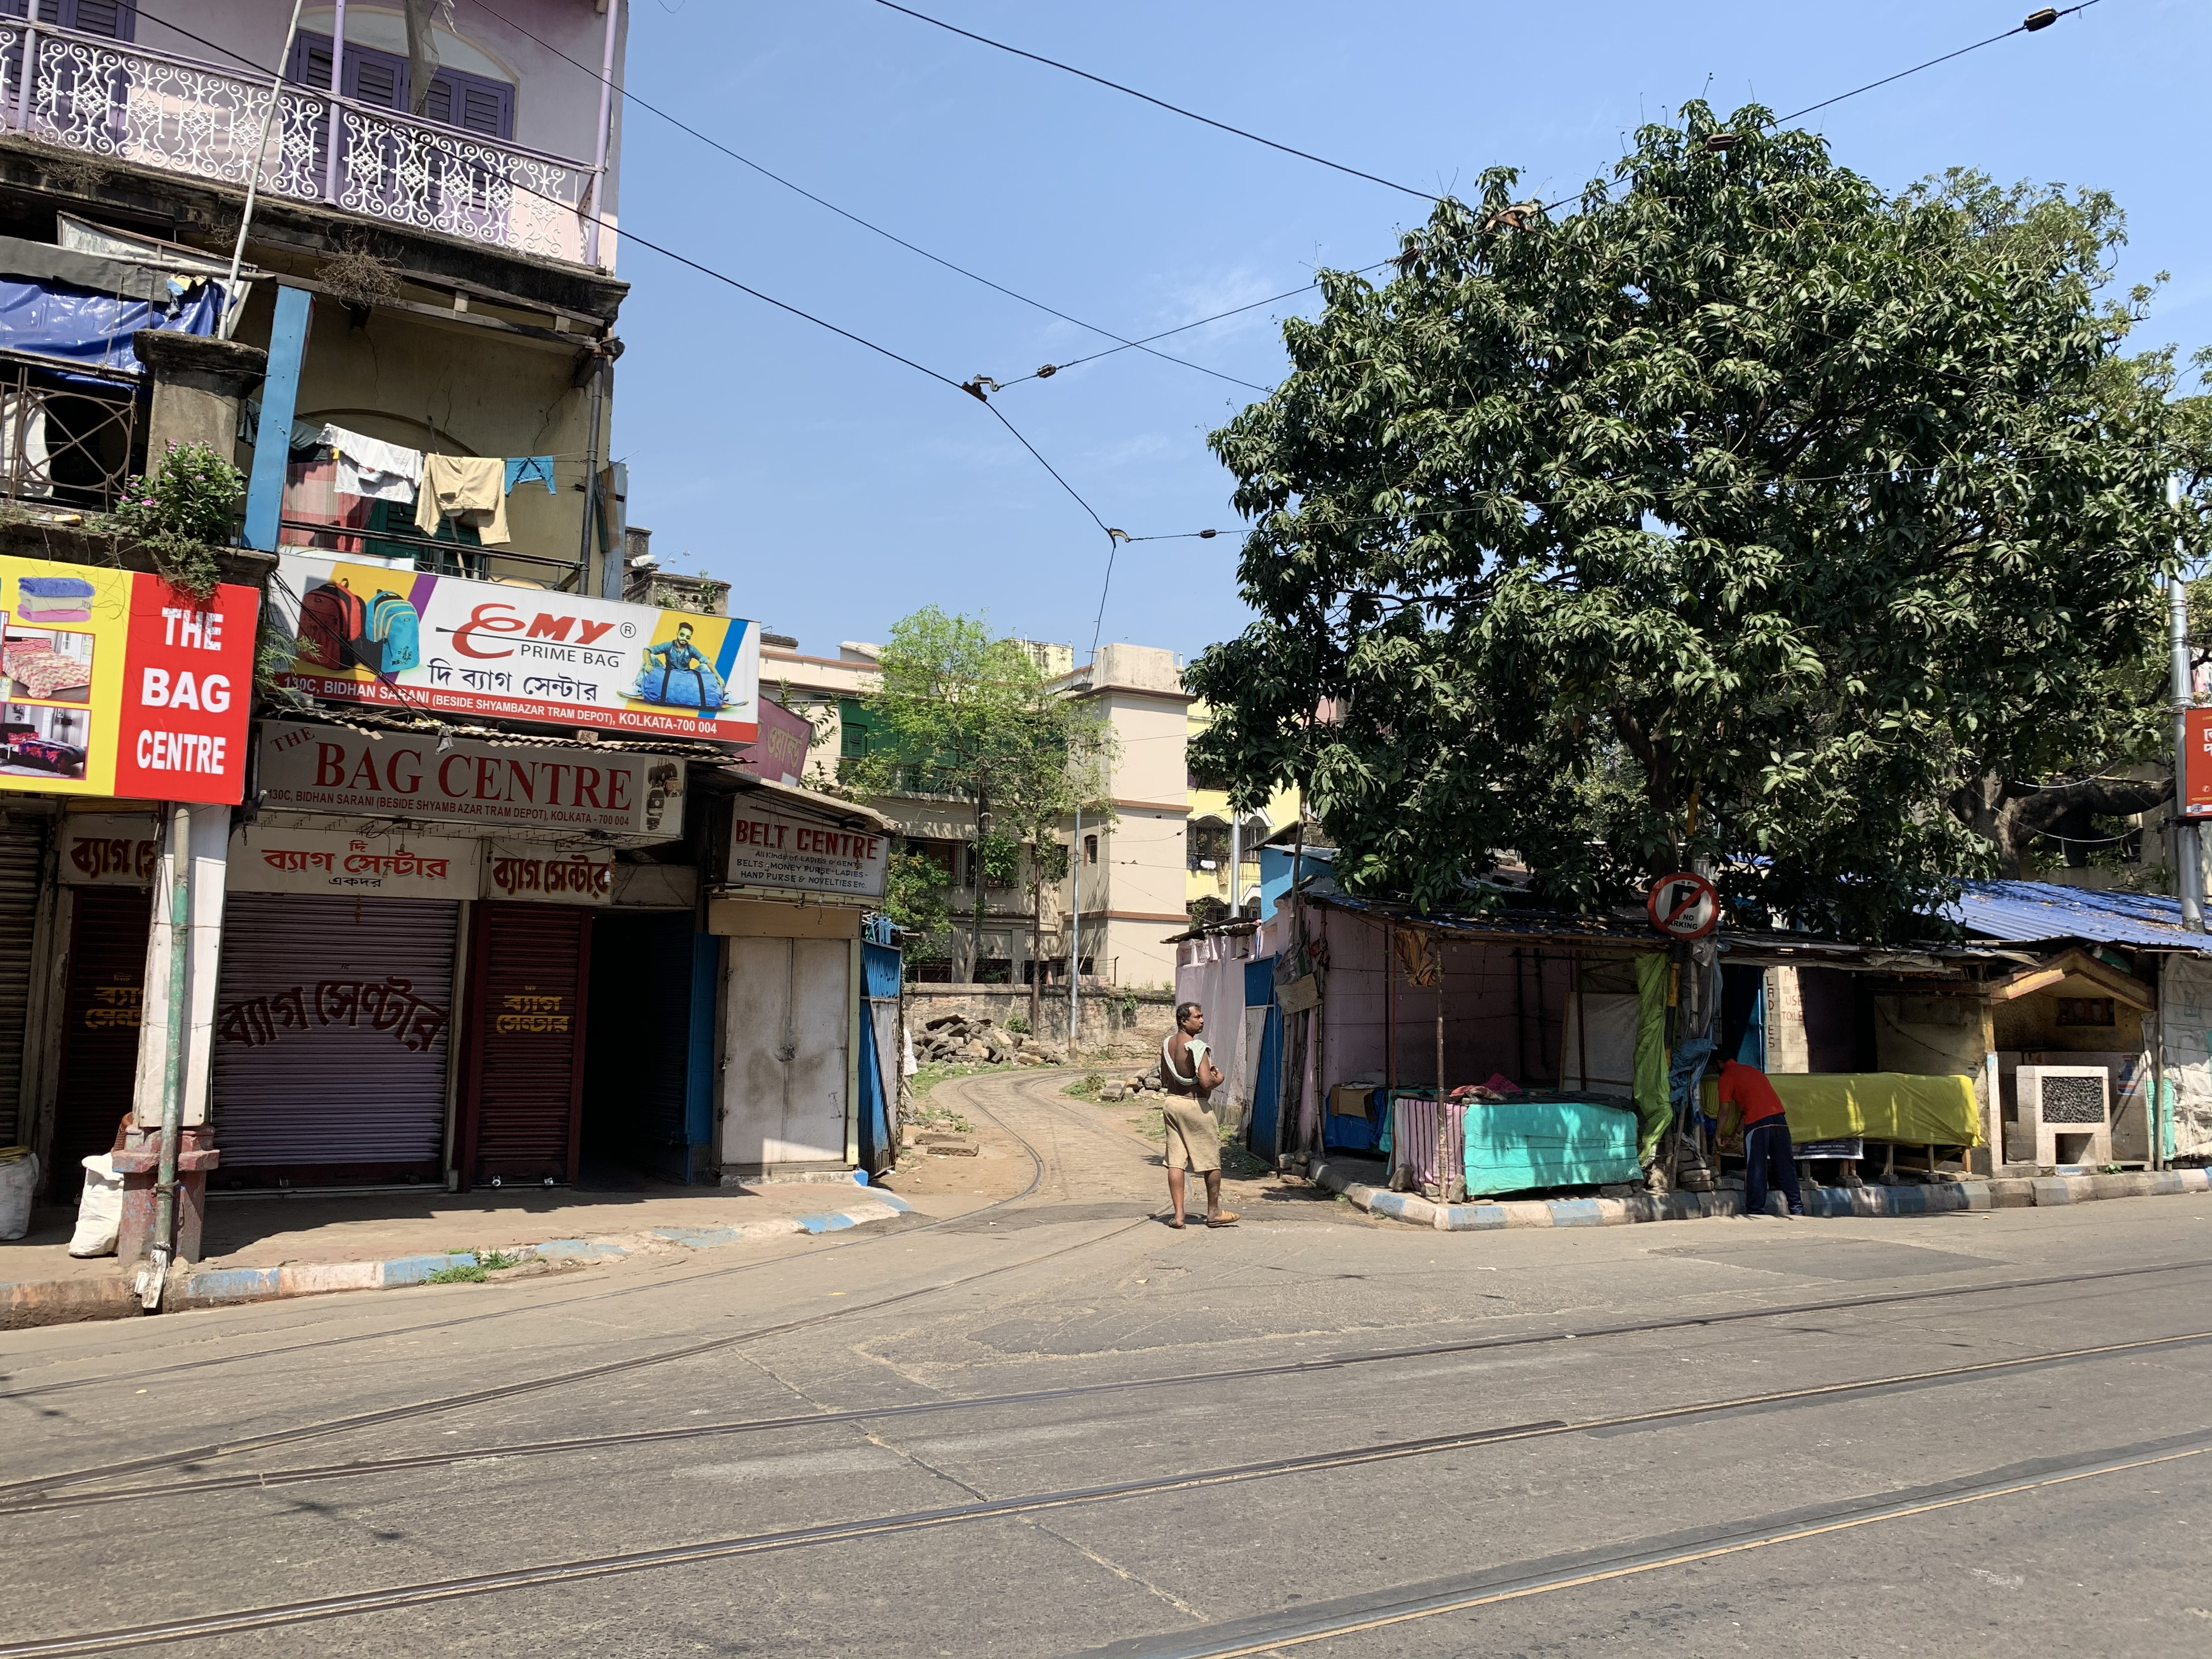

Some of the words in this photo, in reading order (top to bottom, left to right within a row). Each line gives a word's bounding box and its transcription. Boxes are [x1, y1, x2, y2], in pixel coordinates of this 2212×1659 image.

[154, 597, 228, 656] THE
[448, 595, 625, 672] EMY
[134, 658, 236, 717] BAG
[319, 676, 380, 705] BIDHAN
[375, 682, 431, 706] SARANI
[429, 690, 476, 714] (BESIDE
[419, 648, 515, 698] দিব্যগ
[472, 693, 549, 723] SHYAMBAZAR
[520, 641, 582, 673] PRIME
[543, 701, 580, 726] TRAM
[521, 672, 604, 711] সেন্টার
[572, 703, 615, 731] DEPOT)
[579, 648, 623, 676] BAG
[617, 711, 675, 732] KOLKATA-
[672, 712, 720, 737] -700004
[129, 721, 232, 780] CENTRE
[273, 724, 319, 759] THE
[758, 723, 811, 775] ওয়াল্ড
[304, 735, 433, 799] BAG
[433, 746, 636, 817] CENTRE
[64, 825, 138, 880] ব্যাগ
[273, 844, 337, 880] ব্যাগ
[327, 866, 384, 895] একদর
[337, 840, 457, 884] সেন্টার
[486, 847, 617, 905] ব্যাগ সেন্টার
[733, 850, 765, 872] BELTS
[737, 866, 768, 882] HAND
[726, 813, 793, 851] BELT
[751, 847, 790, 864] All Kinds
[764, 868, 799, 885] PURSE
[766, 855, 805, 874] MONEY
[781, 850, 804, 866] sofL
[795, 851, 829, 870] LADIES
[799, 860, 833, 882] PURSE
[805, 871, 855, 892] NOVELTIES
[786, 819, 885, 867] CENTRE
[828, 866, 866, 881] LADIES
[849, 877, 867, 891] Etc
[497, 982, 567, 1019] ব্যাগ
[210, 977, 319, 1058] ব্যাগ
[311, 972, 462, 1062] সেণ্টর
[488, 999, 574, 1042] সেন্টার